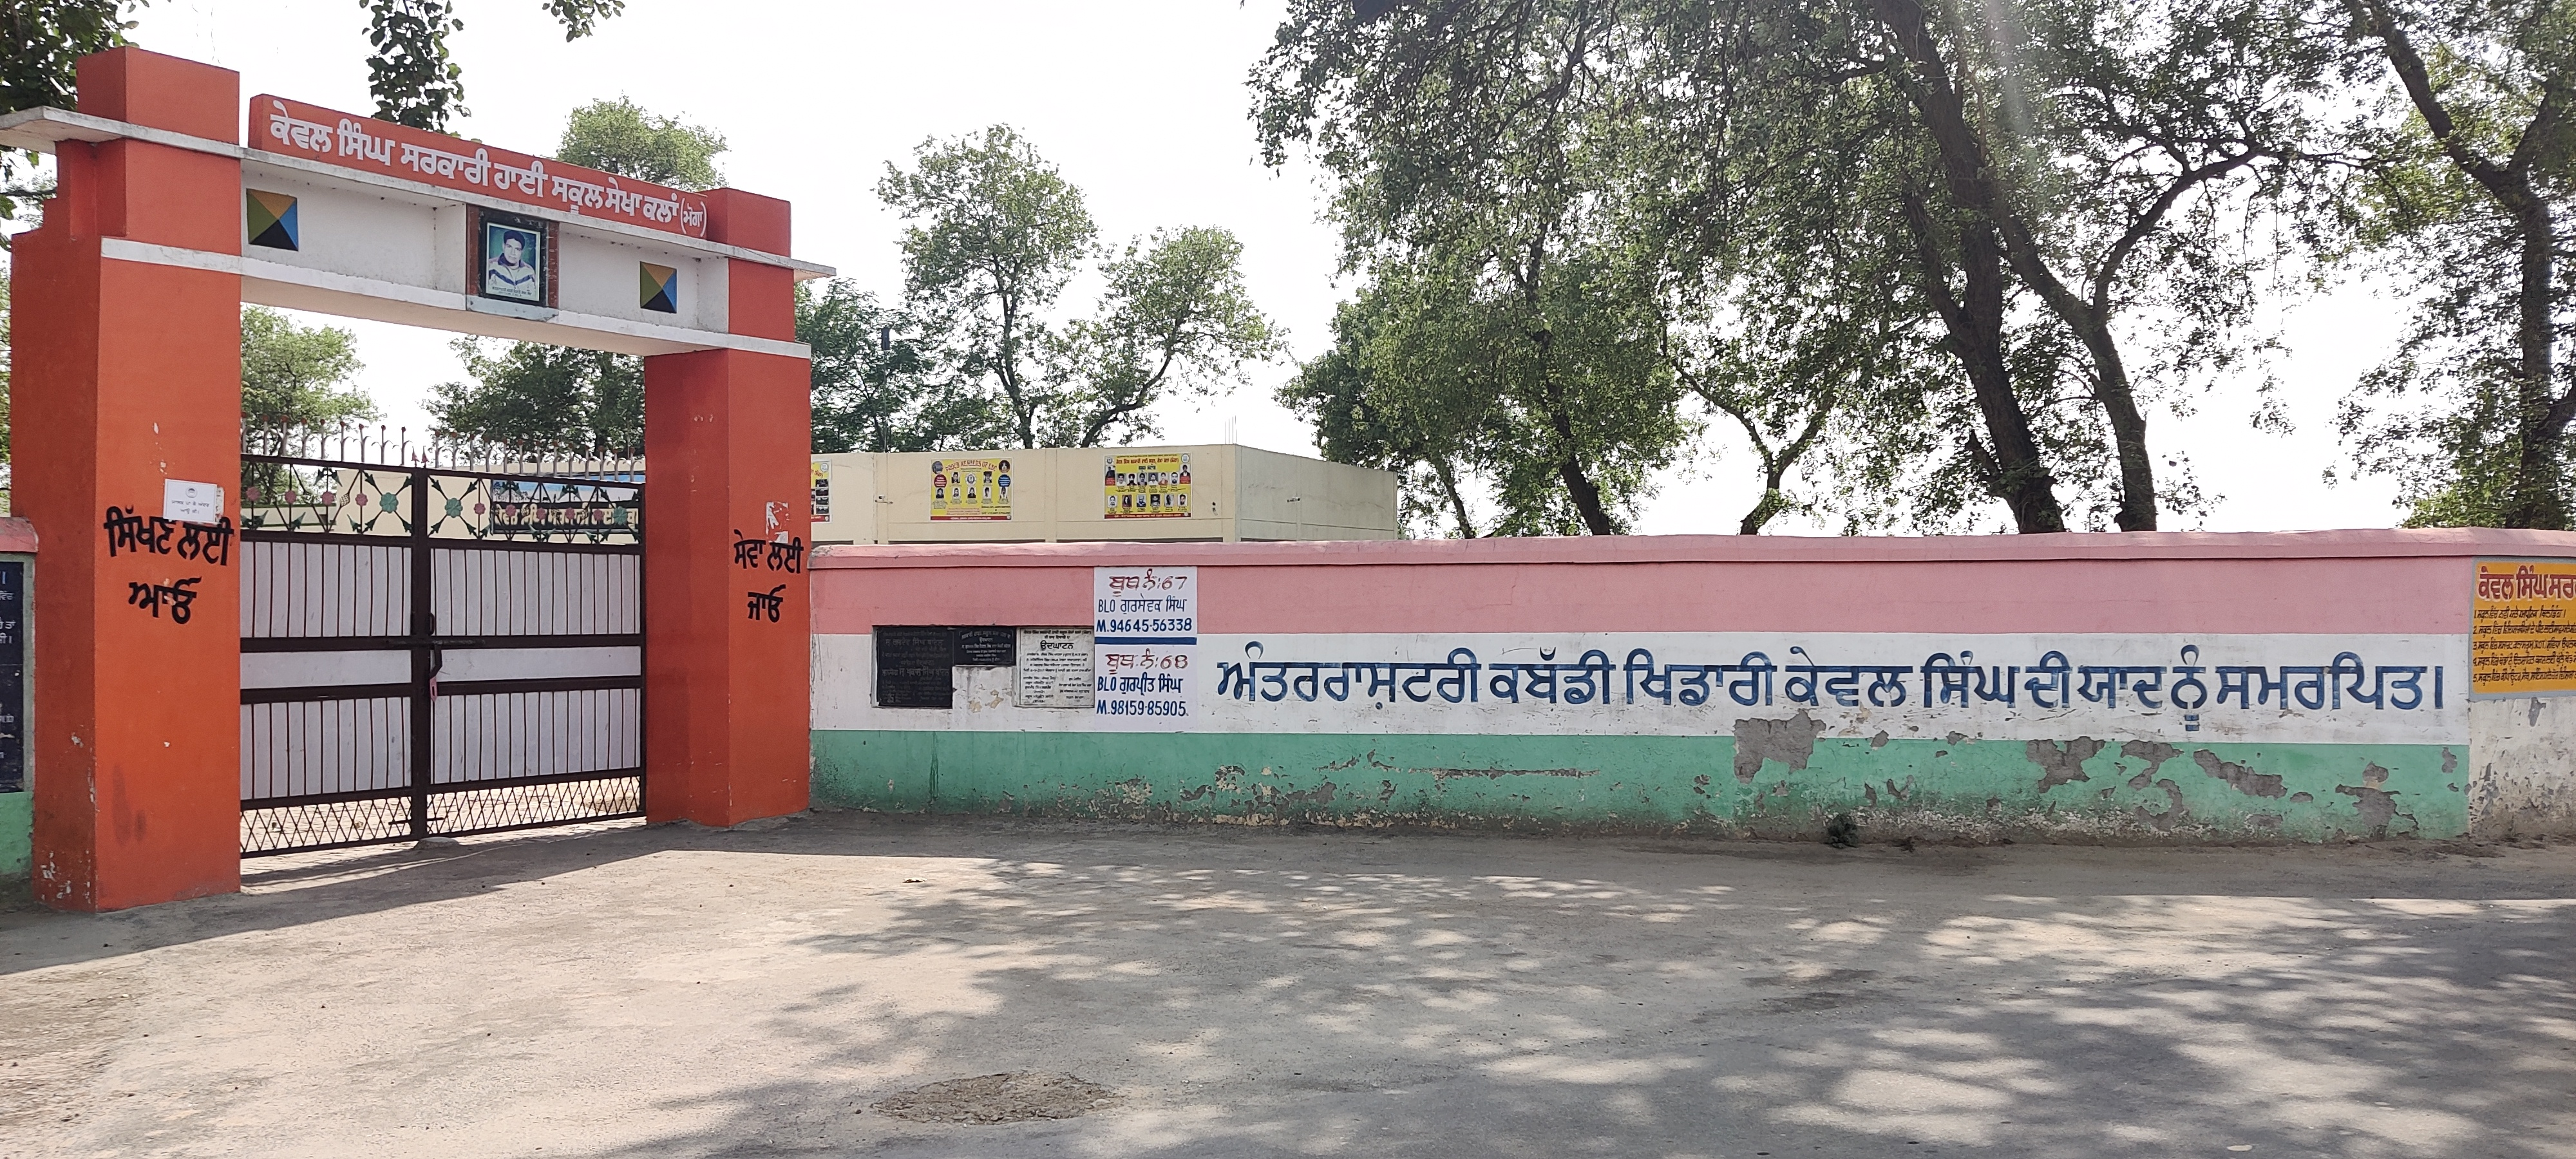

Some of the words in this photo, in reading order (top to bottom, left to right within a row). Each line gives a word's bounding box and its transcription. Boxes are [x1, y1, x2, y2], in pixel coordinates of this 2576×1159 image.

[266, 97, 336, 156] ਕੇਵਲ
[333, 115, 399, 171] ਸਿੰਘ
[398, 137, 494, 192] ਸਰਕਾਰੀ
[491, 157, 551, 199] ਹਾਈ
[547, 169, 605, 215] ਸਕੂਲ
[602, 174, 645, 221] ਸੇਖਾ
[638, 190, 681, 229] ਕਲਾਂ
[682, 200, 705, 231] (ਮੋਗਾ)
[93, 497, 178, 564] ਸਿੱਖਣ
[173, 512, 238, 572] ਲਈ
[728, 523, 768, 574] ਸੇਵਾ
[763, 531, 811, 578] ਲਈ
[117, 571, 208, 631] ਆਓ
[739, 576, 791, 628] ਜਾਓ
[1094, 617, 1108, 635] M.
[1095, 598, 1117, 616] BLO
[1118, 592, 1164, 617] ਗੁਰਸੇਵਕ
[1106, 567, 1190, 598] ਬੂਥ.ਨੰ:67
[1108, 616, 1193, 634] 94645-56338
[1164, 590, 1189, 614] ਸਿੰਘ
[2472, 562, 2516, 603] ਕੇਵਲ
[2515, 561, 2550, 602] ਸਿੰਘ
[2548, 570, 2575, 600] ਸਰ
[1094, 697, 1109, 717] M
[1096, 675, 1118, 695] BLO
[1117, 670, 1157, 698] ਗੁਰਪ੍ਰੀਤ
[1101, 646, 1193, 675] ਬੂਥ:ਨੰ:68
[1108, 697, 1189, 719] 98159-85905
[1155, 671, 1187, 696] ਸਿੰਘ
[1209, 640, 1486, 719] ਅੰਤਰਰਾਸ਼ਟਰੀ
[1485, 641, 1621, 711] ਕਬੱਡੀ
[1618, 642, 1781, 715] ਖਿਡਾਈ
[1779, 639, 1917, 711] ਕੇਵਲ
[1916, 643, 2172, 718] ਸਿਘਦੀਯਾਦ
[2168, 637, 2212, 739] ਨੂੰ
[2208, 647, 2431, 723] ਸਮਰਪਿਤ